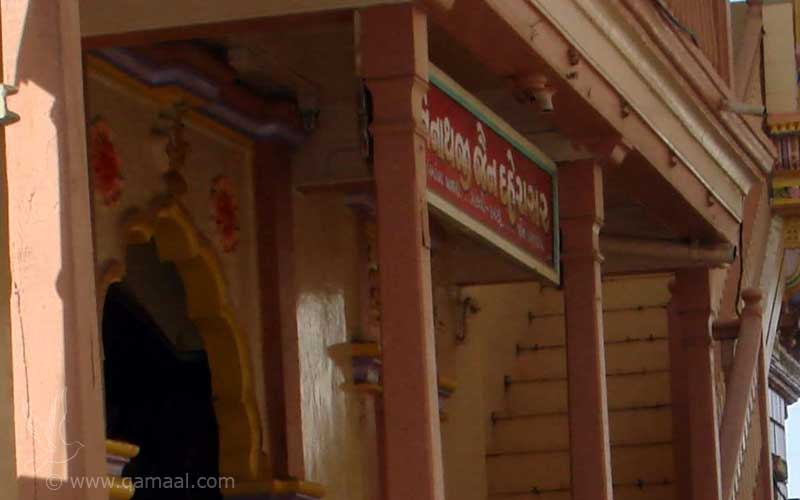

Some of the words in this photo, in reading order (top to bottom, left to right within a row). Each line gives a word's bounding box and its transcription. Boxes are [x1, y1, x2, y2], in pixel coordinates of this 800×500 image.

[430, 113, 474, 193] નાથજી
[473, 121, 499, 201] જૈન
[497, 144, 553, 233] દહેયસર
[68, 470, 240, 495] www.qamaal.com